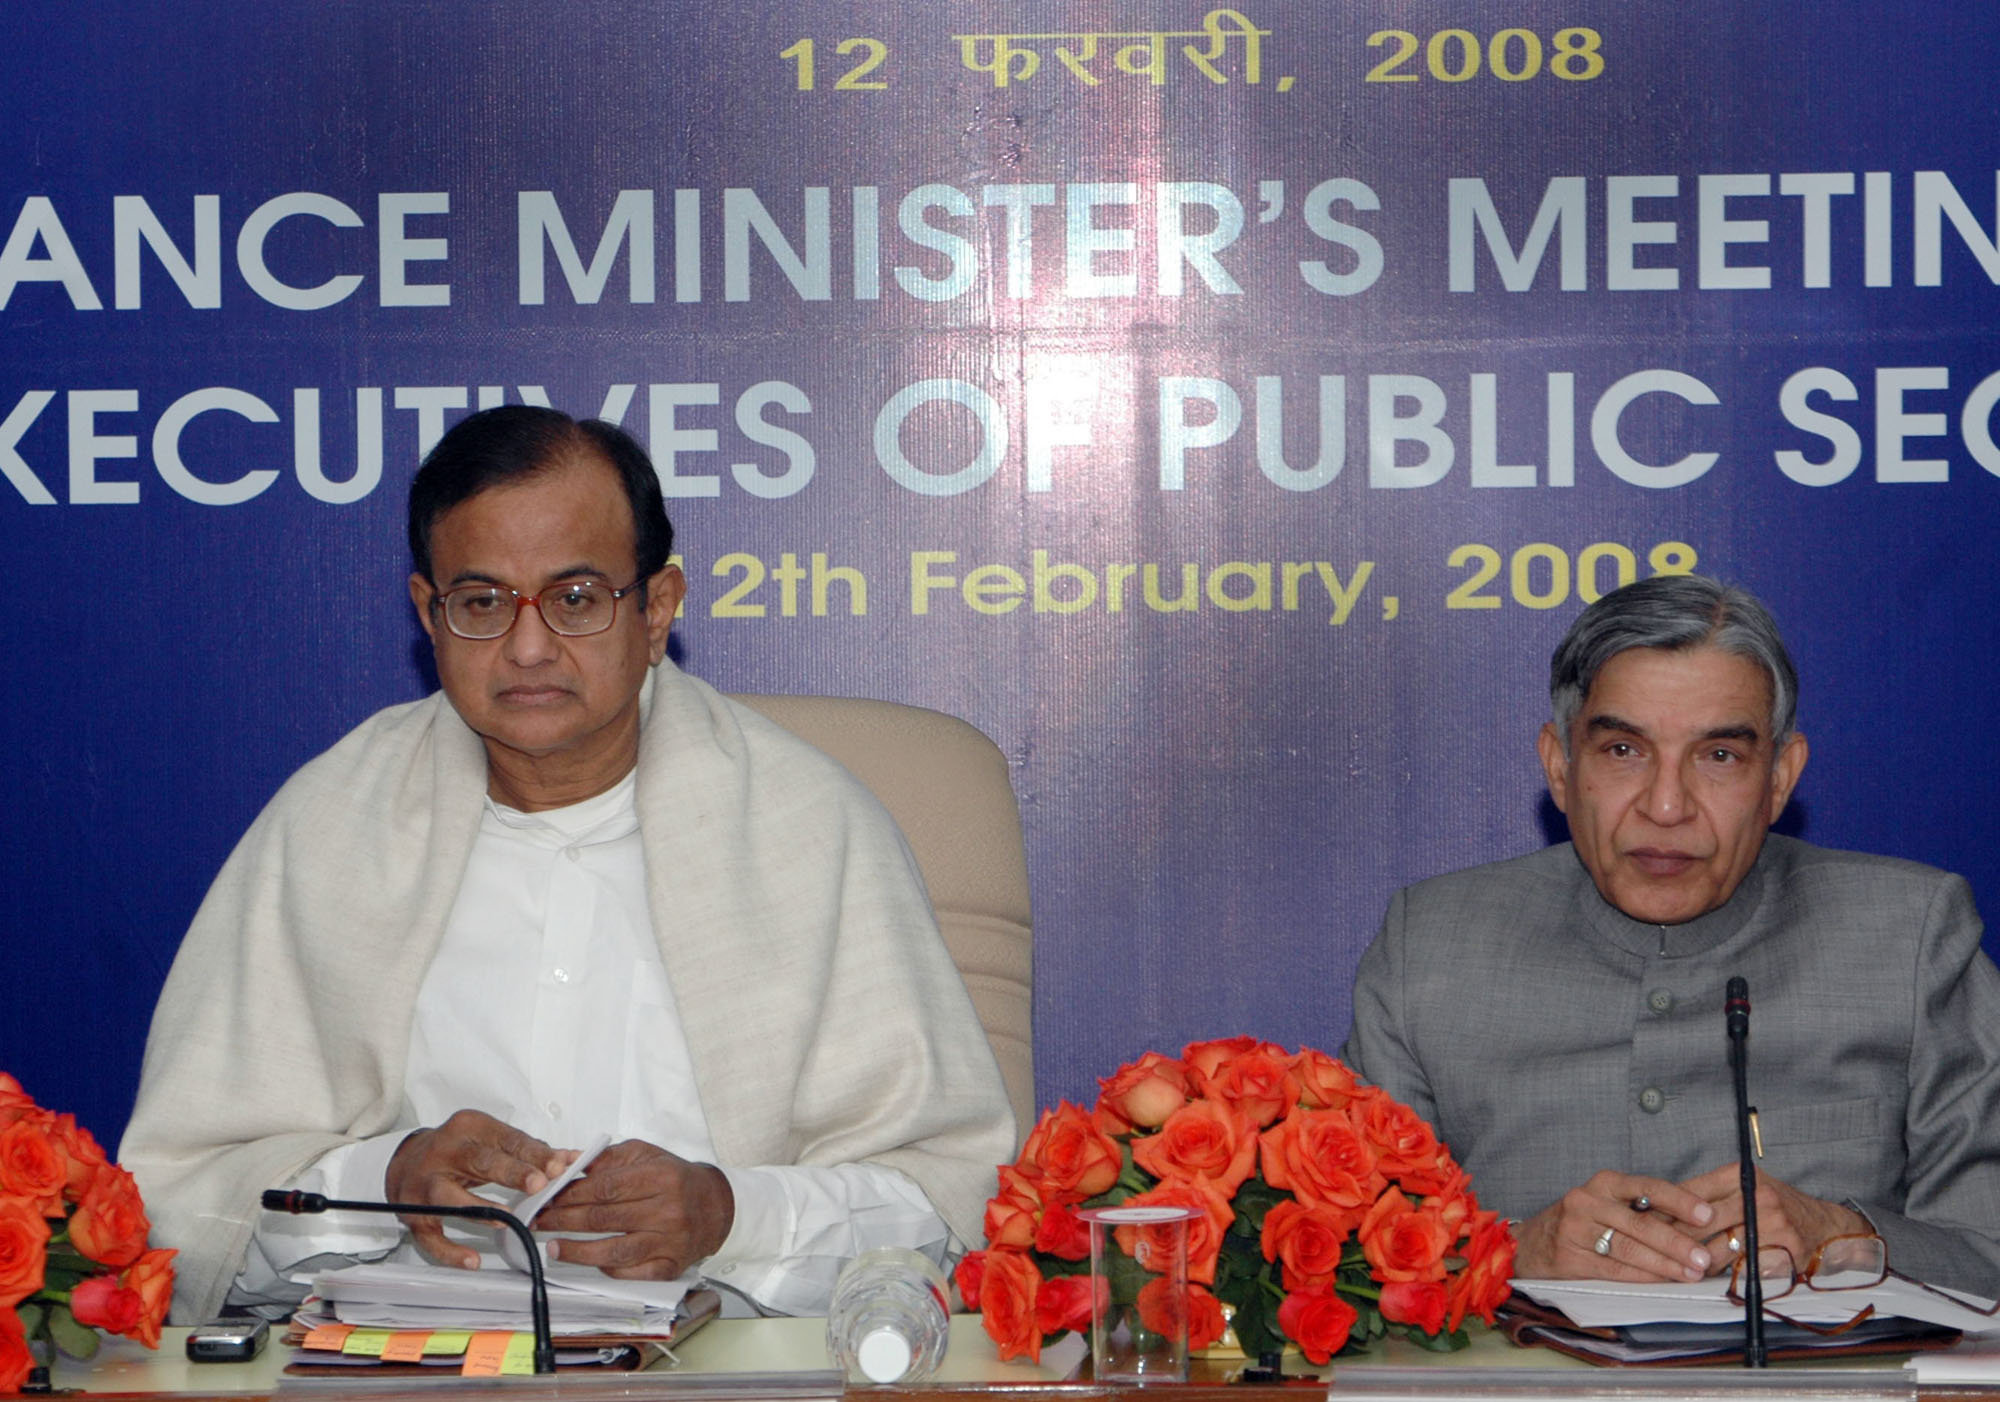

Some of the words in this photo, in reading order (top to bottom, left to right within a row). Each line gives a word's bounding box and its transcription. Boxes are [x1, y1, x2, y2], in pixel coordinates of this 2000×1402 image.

[779, 28, 892, 97] 12
[946, 1, 1277, 93] फरवरी
[1354, 22, 1610, 86] 2008
[1, 182, 455, 321] ANCE
[515, 170, 1387, 308] MINISTER
[1442, 165, 1999, 298] MEETI
[0, 374, 818, 510] ECU ES
[867, 368, 1099, 502] OF
[1154, 363, 1724, 499] PUBLIC
[701, 541, 879, 631] 2th
[906, 542, 1383, 628] February
[1432, 536, 1704, 617] 2008